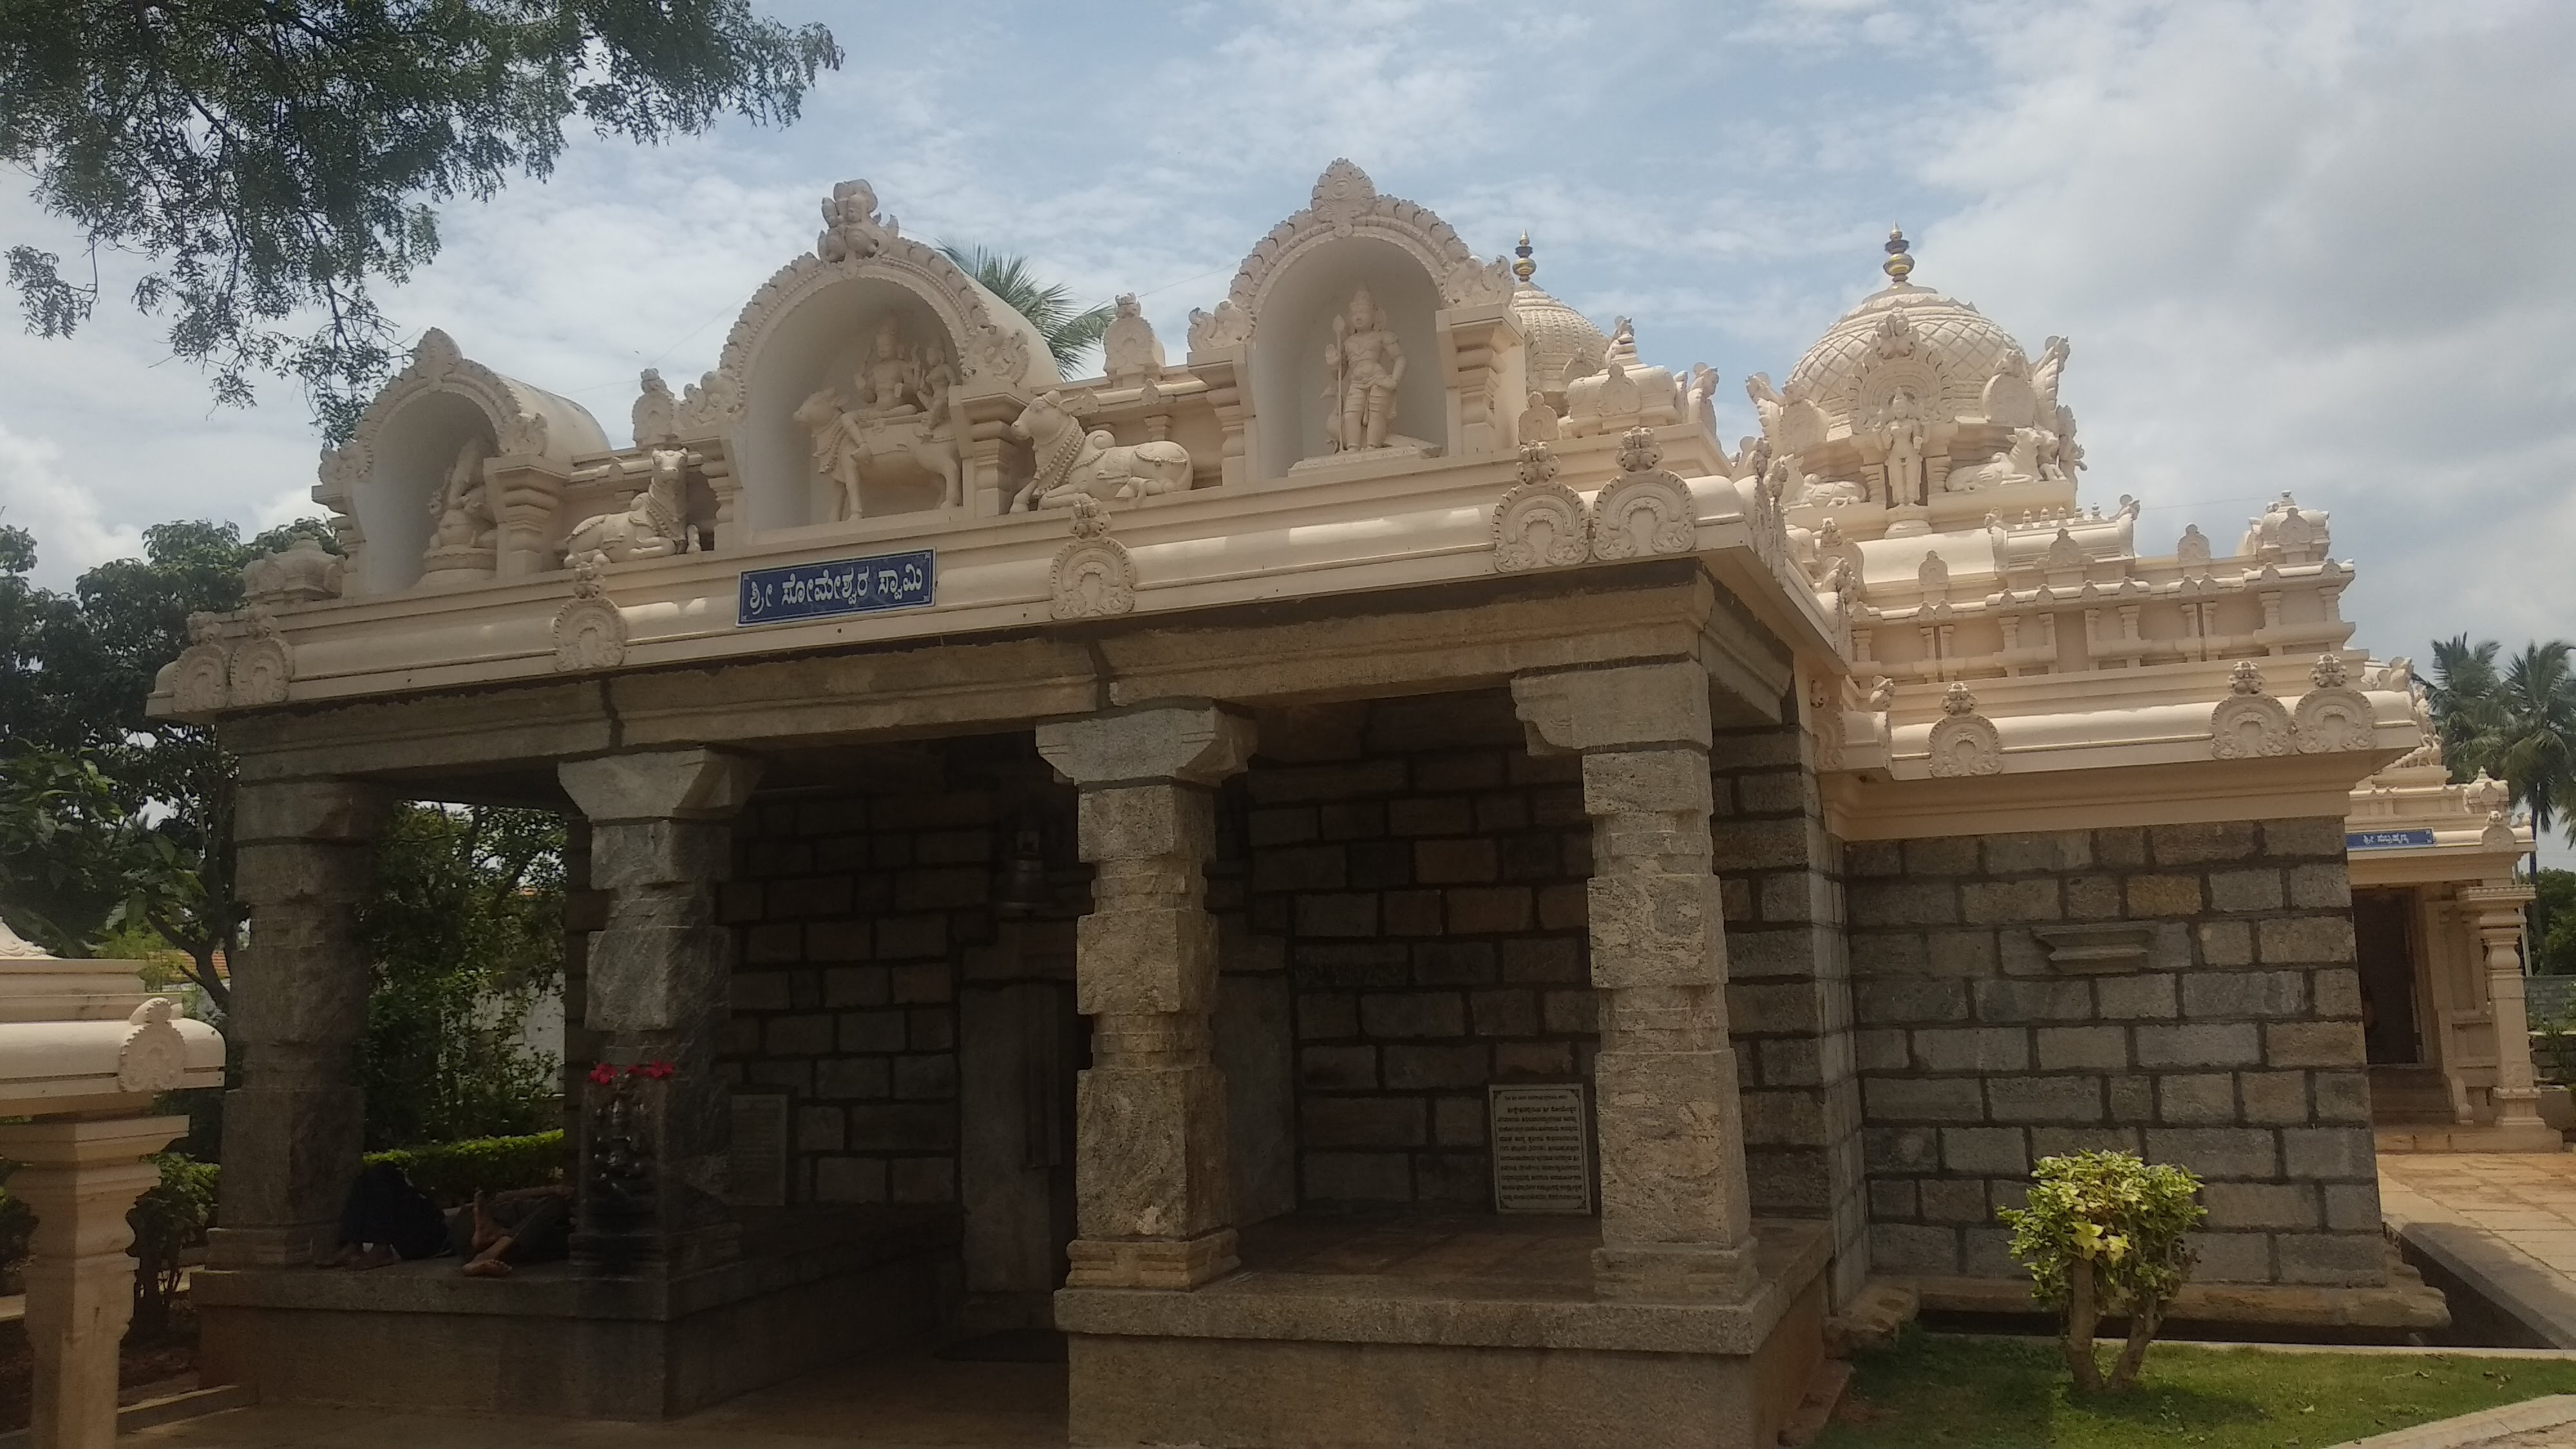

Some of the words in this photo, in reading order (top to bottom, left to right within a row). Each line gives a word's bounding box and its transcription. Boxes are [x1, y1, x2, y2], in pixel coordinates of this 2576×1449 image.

[744, 576, 776, 618] ಶ್ರೀ
[776, 562, 871, 609] ಸೋಮೇಶ್ವರ
[876, 560, 925, 602] ಸ್ವಾಮಿ